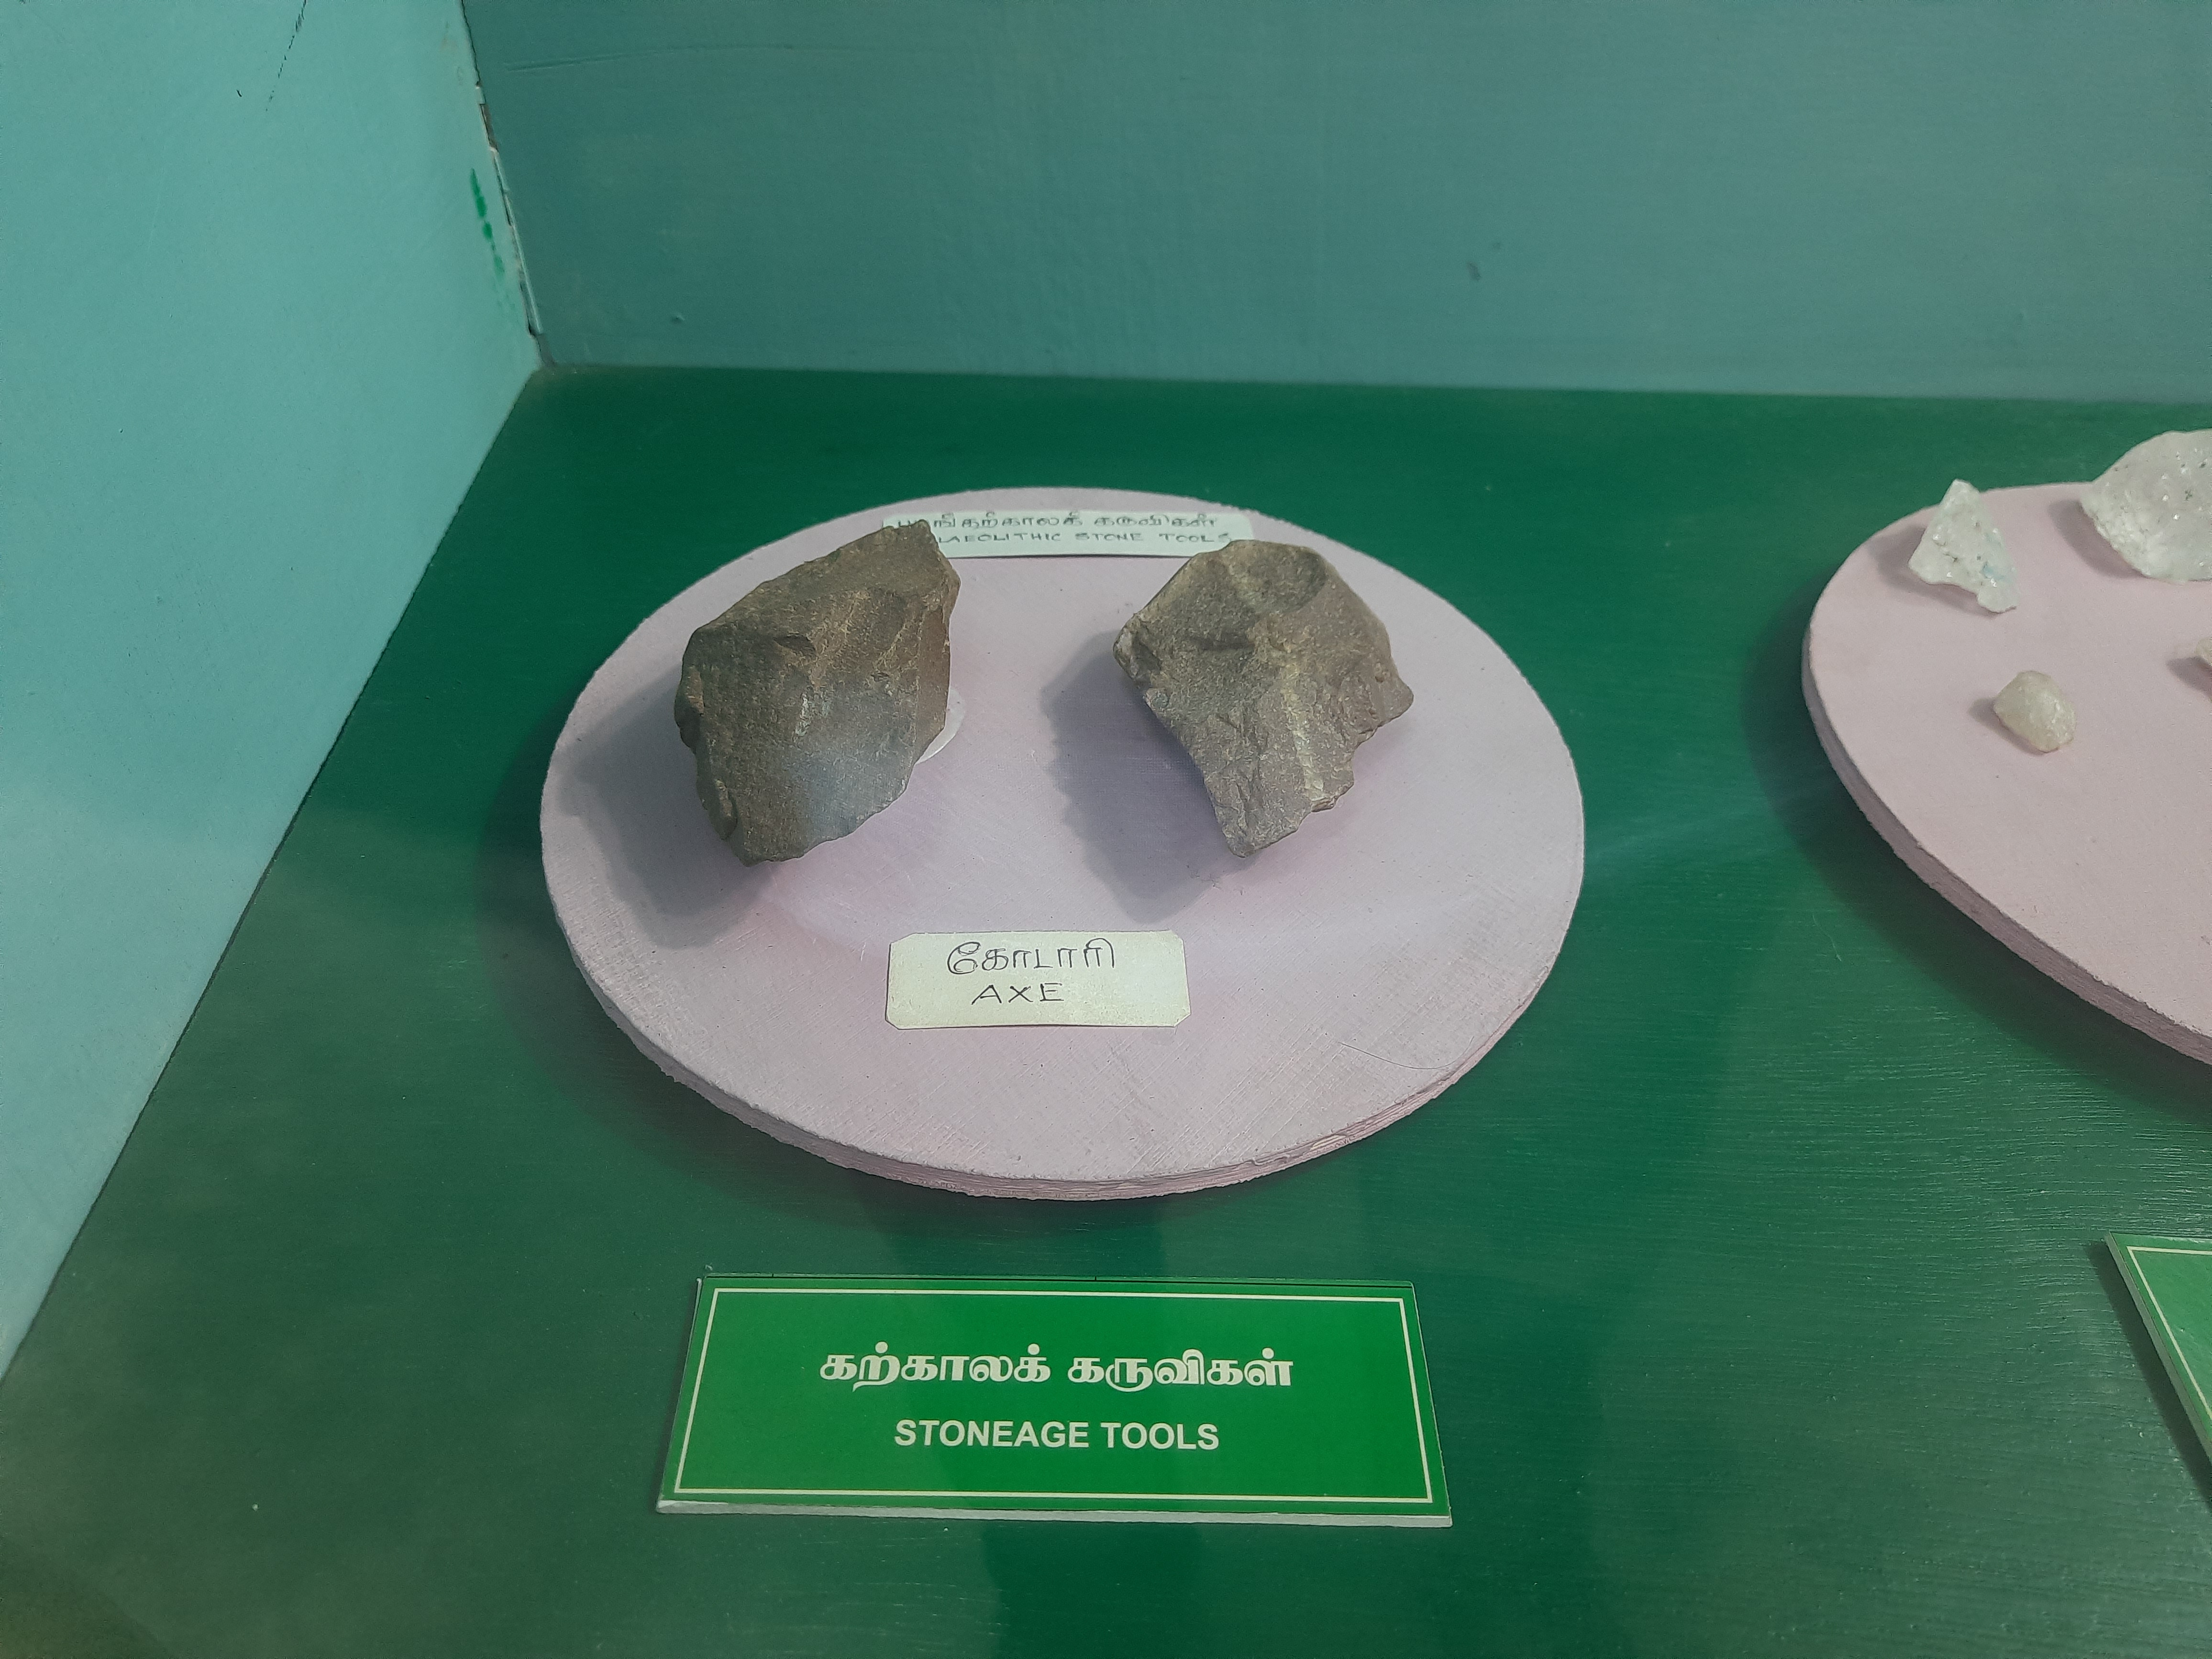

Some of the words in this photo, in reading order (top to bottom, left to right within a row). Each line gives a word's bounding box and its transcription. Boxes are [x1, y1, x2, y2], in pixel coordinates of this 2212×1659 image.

[928, 504, 1087, 534] இதற்காலகி
[934, 528, 1065, 544] LAEOLITHIC
[1072, 526, 1146, 548] STONE
[1158, 530, 1233, 550] TOOLS
[941, 933, 1123, 979] கோடாாி
[967, 981, 1067, 1007] AXE
[809, 1337, 1058, 1396] கற்காலக்
[1067, 1341, 1297, 1397] கருவிகள்
[888, 1415, 1092, 1451] STONEAGE